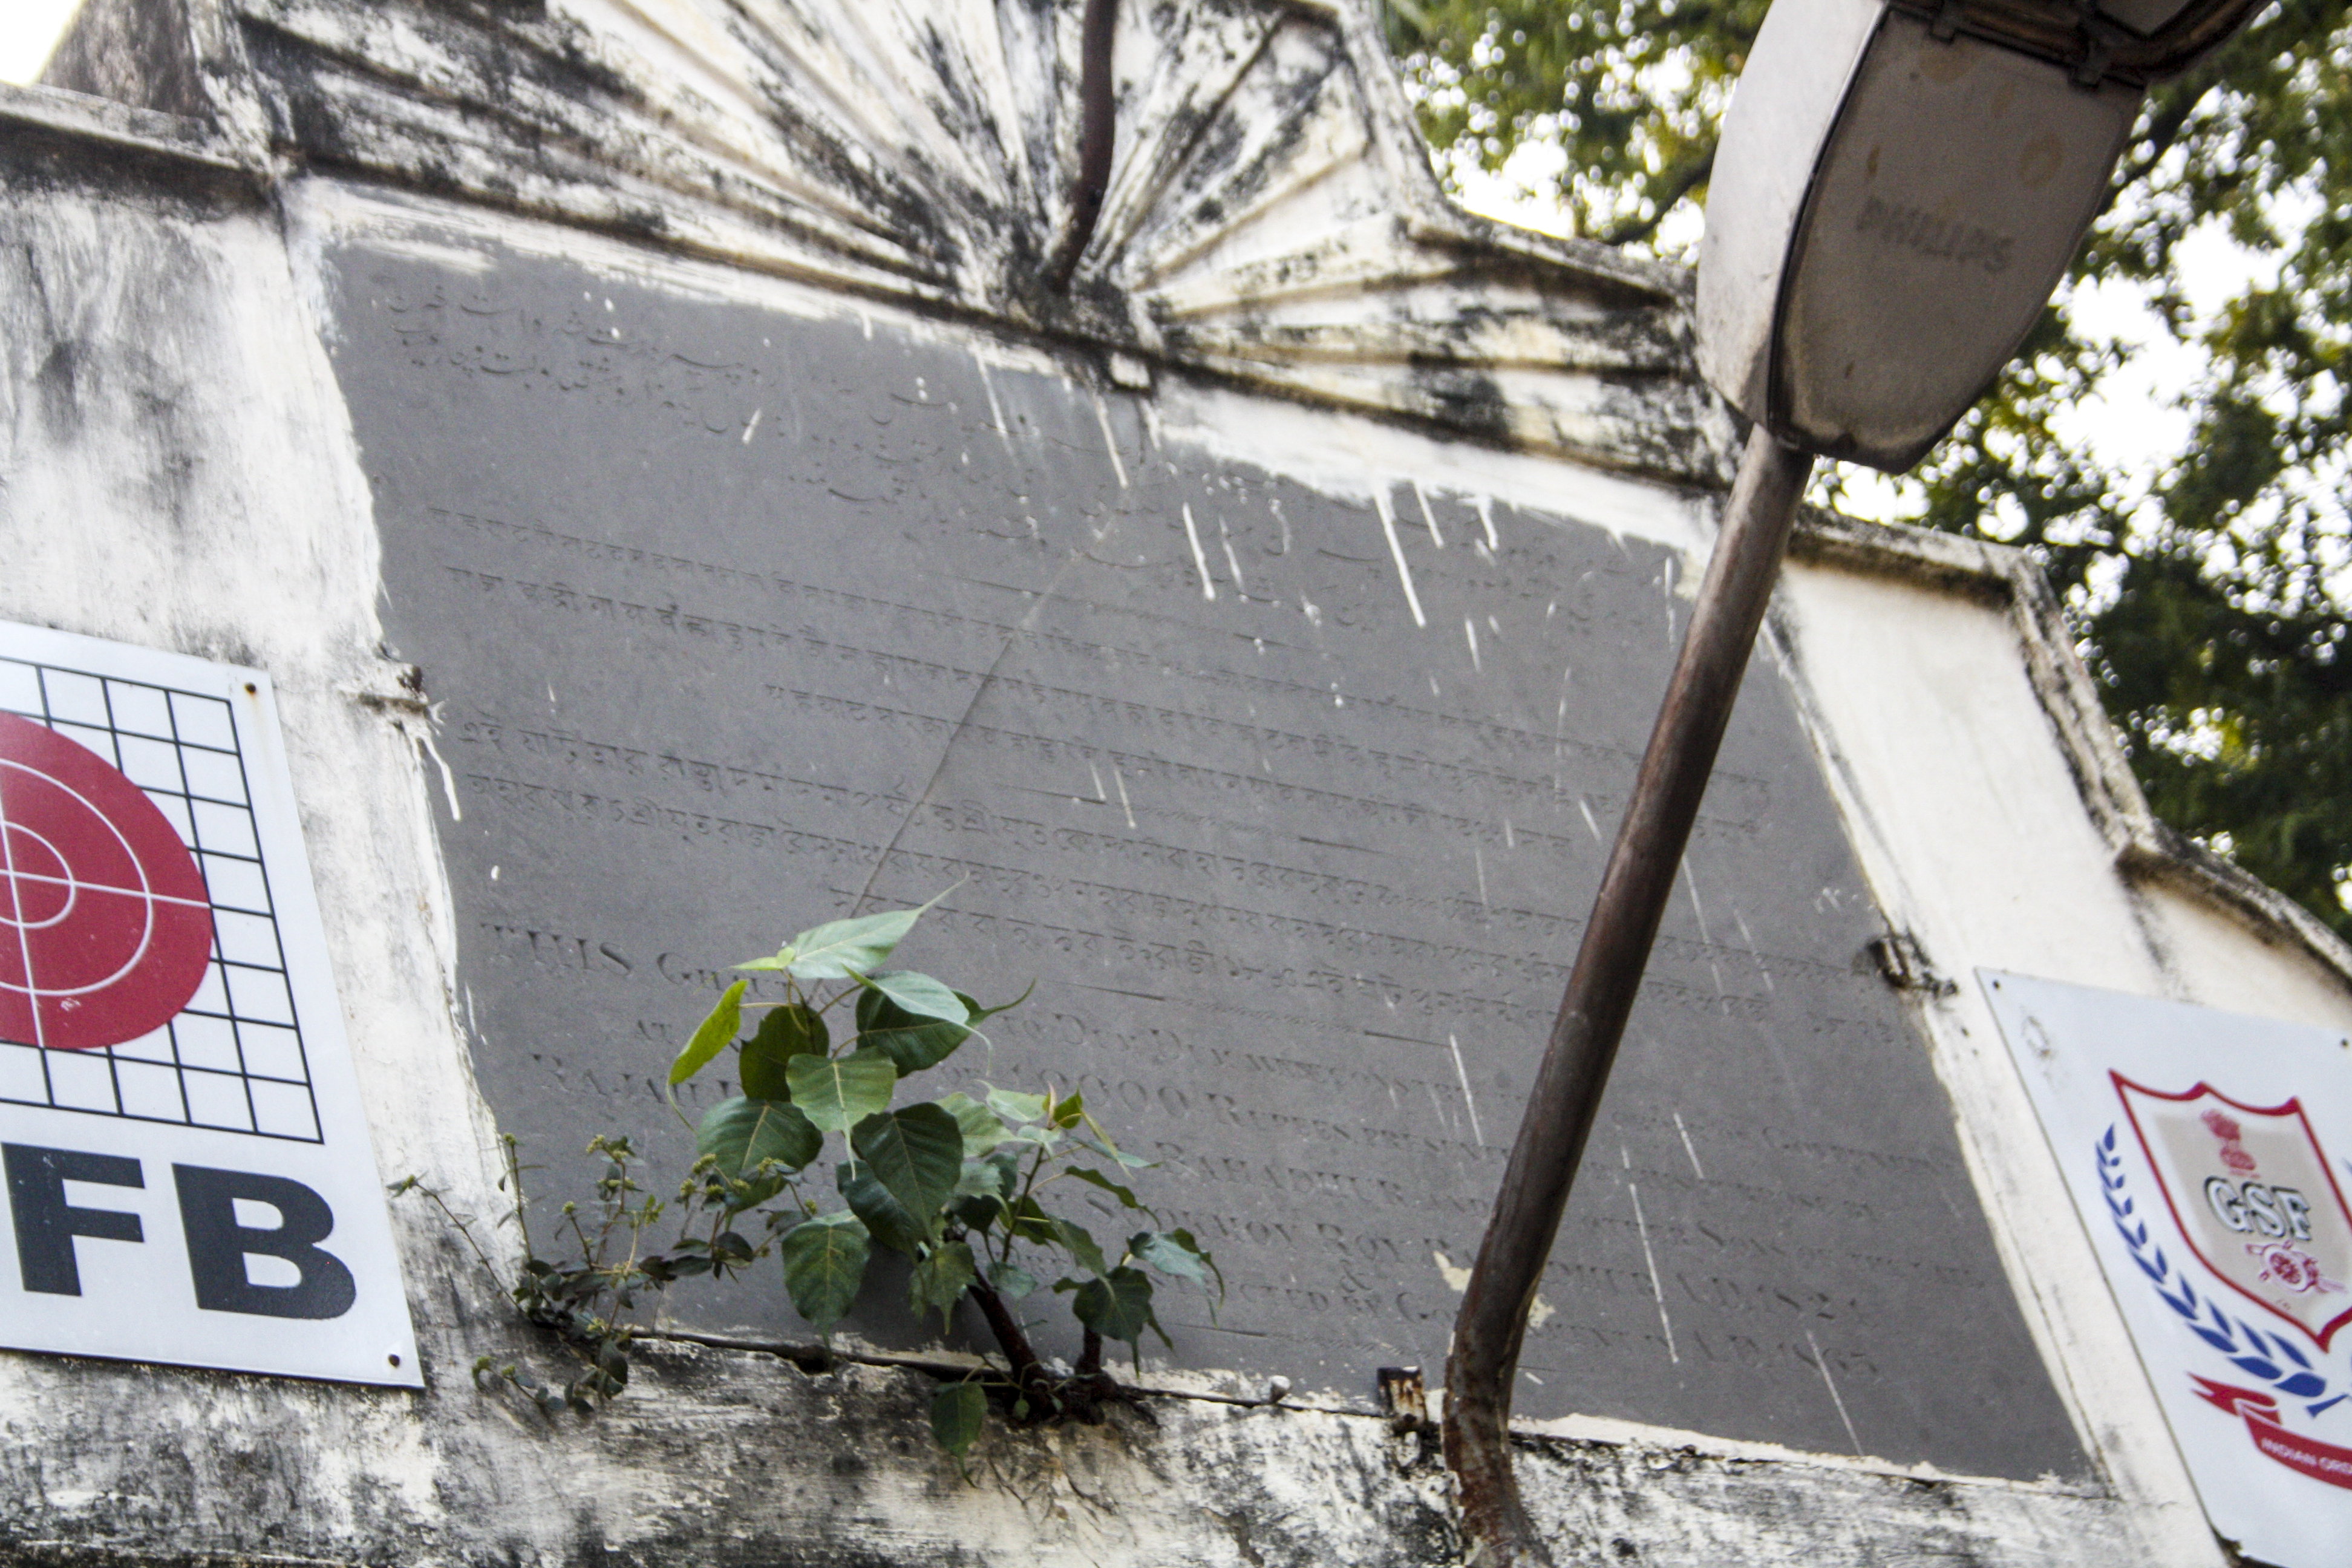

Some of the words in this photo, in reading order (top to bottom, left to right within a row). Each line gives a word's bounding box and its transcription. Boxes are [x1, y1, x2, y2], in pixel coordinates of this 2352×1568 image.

[4, 1132, 362, 1334] FB
[2190, 1161, 2322, 1246] GSF